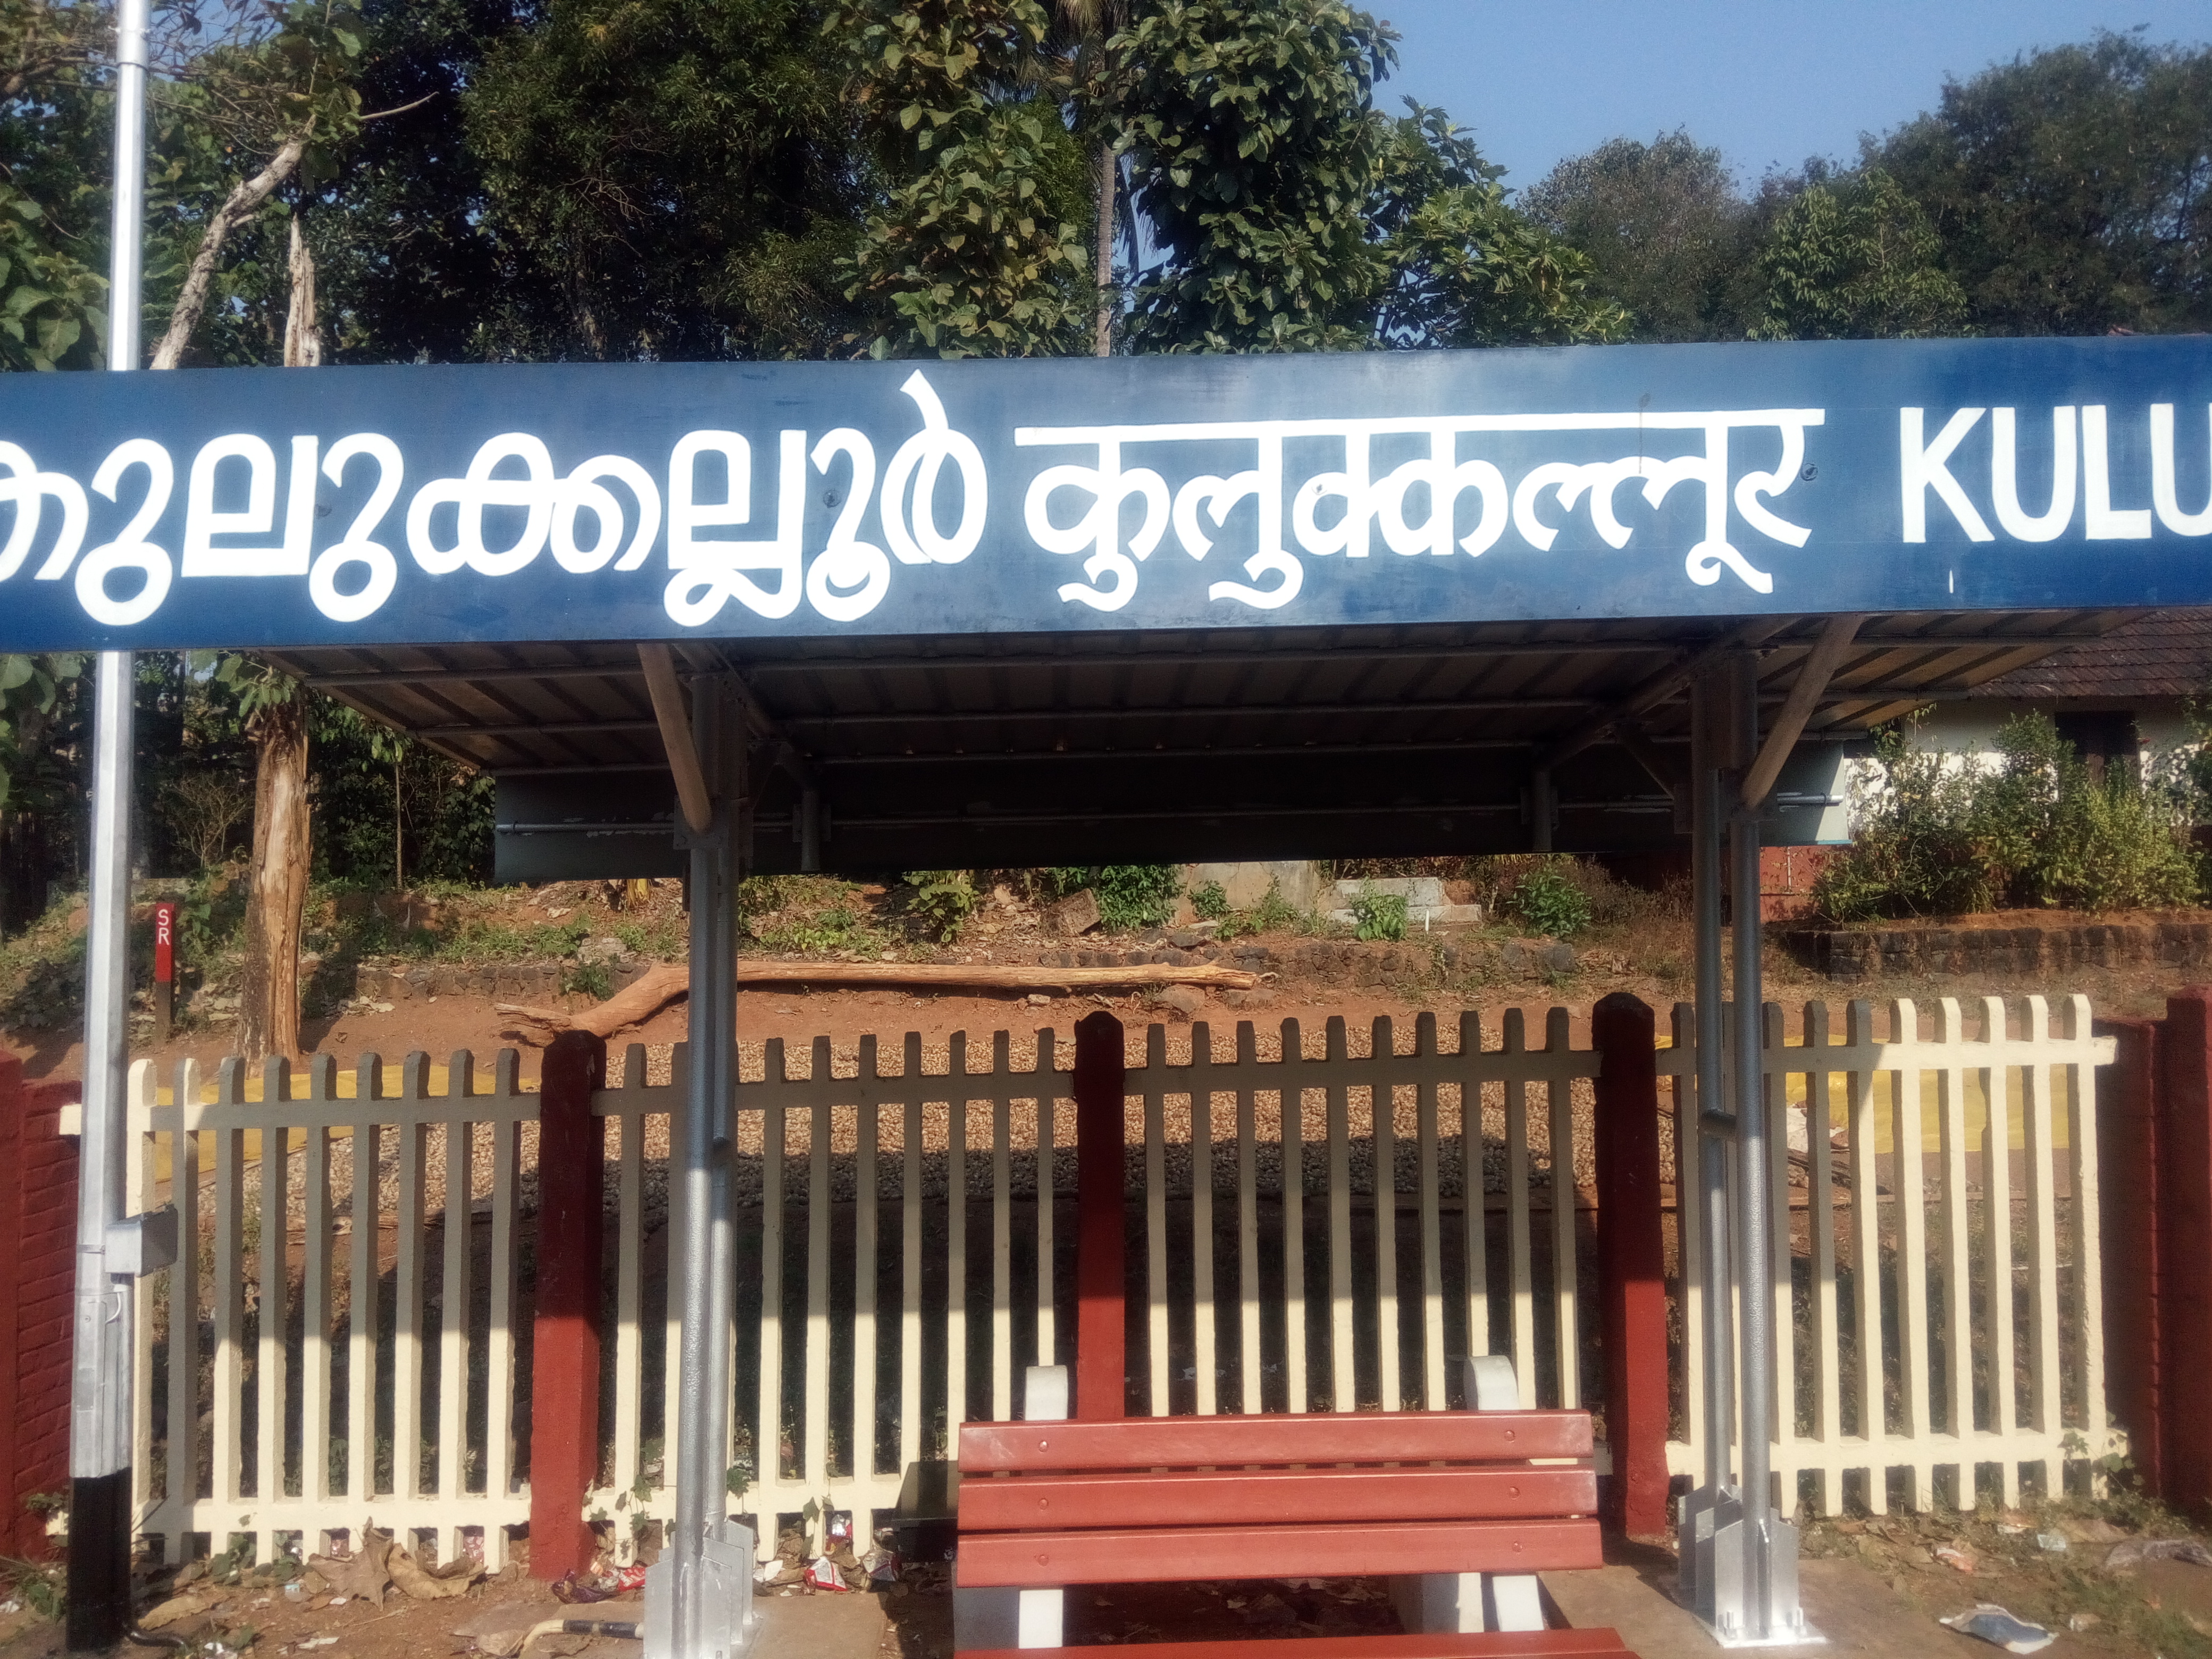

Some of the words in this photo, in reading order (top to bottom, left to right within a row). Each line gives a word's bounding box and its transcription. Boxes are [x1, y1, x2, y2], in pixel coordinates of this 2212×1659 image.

[9, 354, 995, 633] കുലുക്കല്ലൂർ
[1016, 402, 1832, 621] कुलुक्कल्लूर
[1896, 395, 2208, 548] KULU